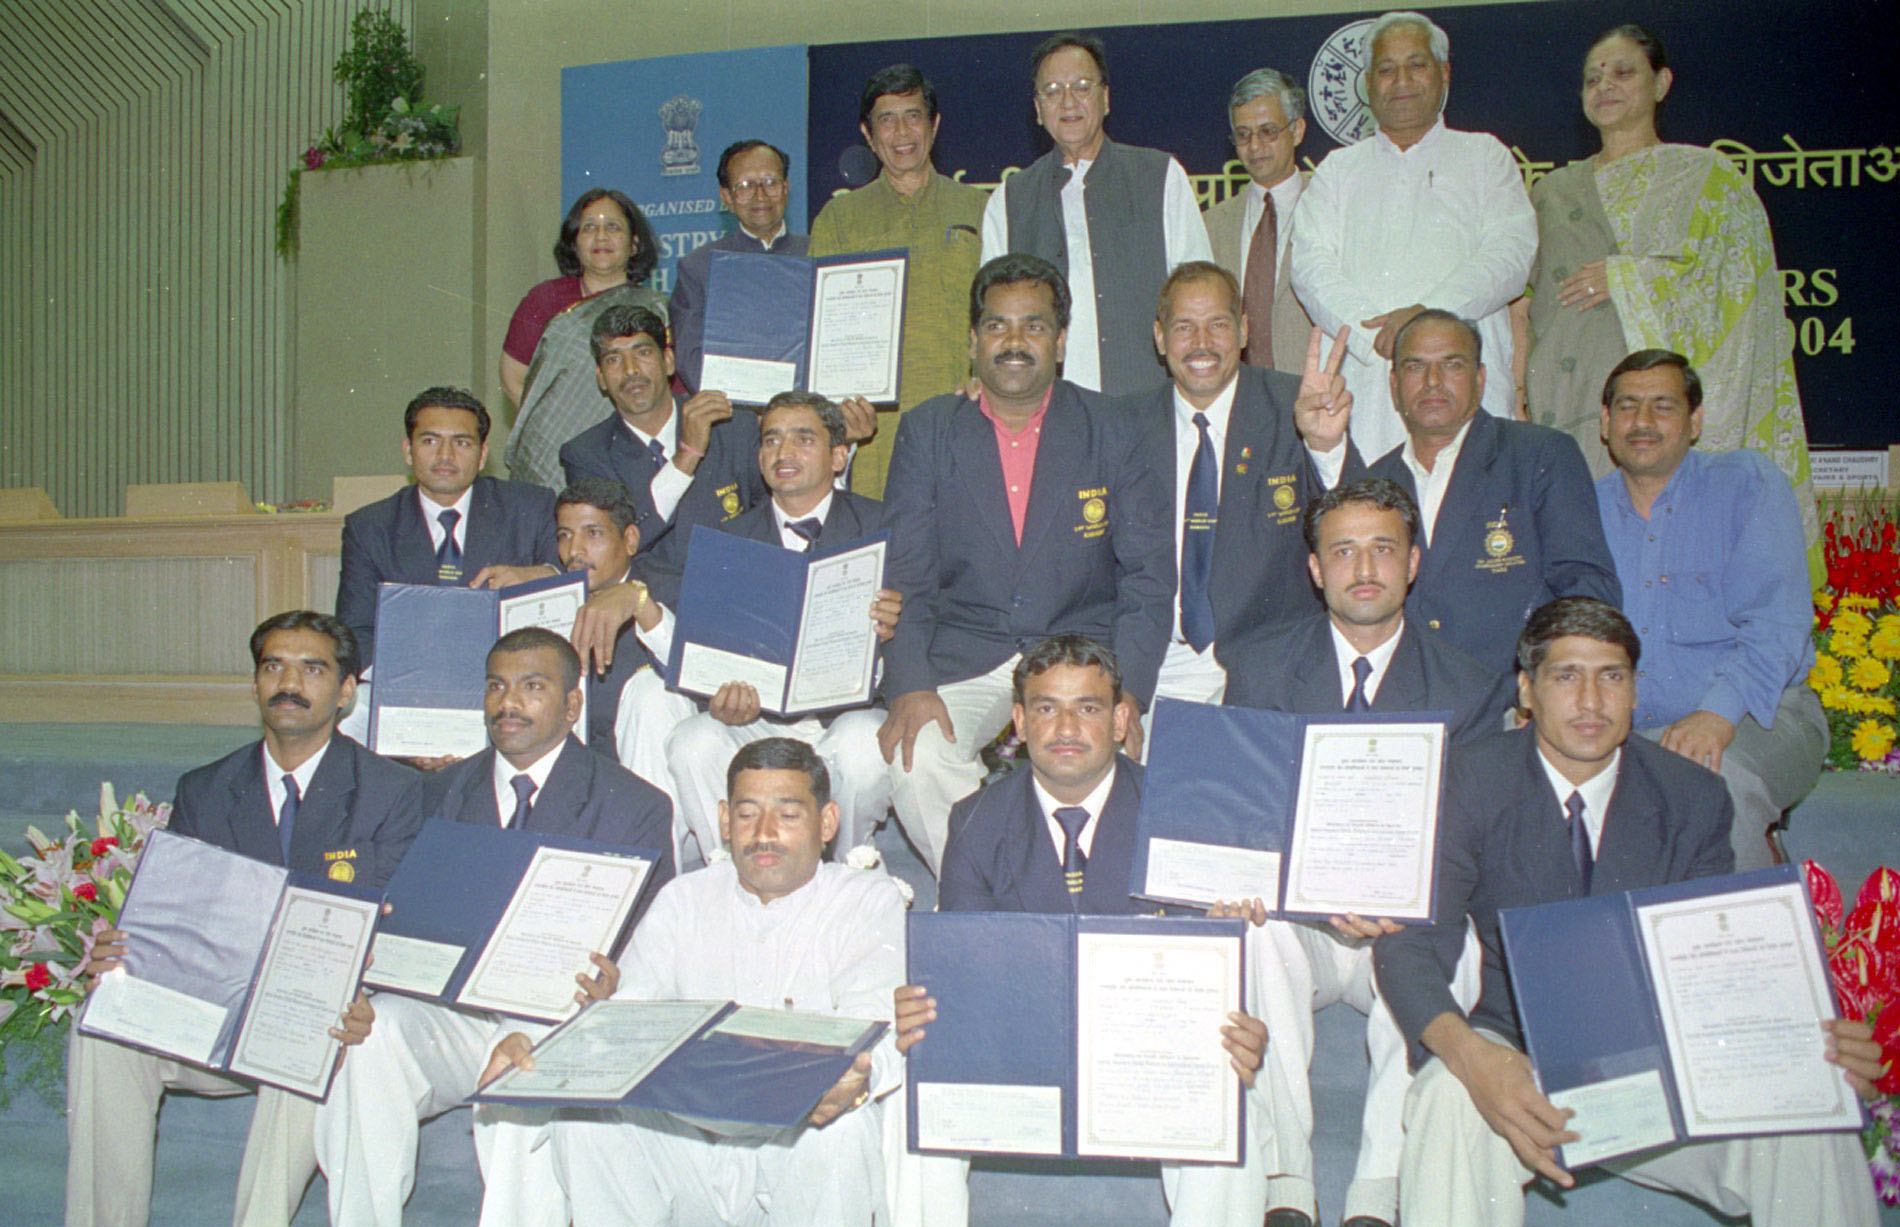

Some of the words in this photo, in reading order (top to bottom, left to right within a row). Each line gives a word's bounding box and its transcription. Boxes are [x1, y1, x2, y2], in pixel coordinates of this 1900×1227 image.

[1707, 124, 1868, 193] विजेता
[637, 195, 717, 218] GANISED
[1773, 257, 1840, 315] RS
[1791, 313, 1857, 362] 04